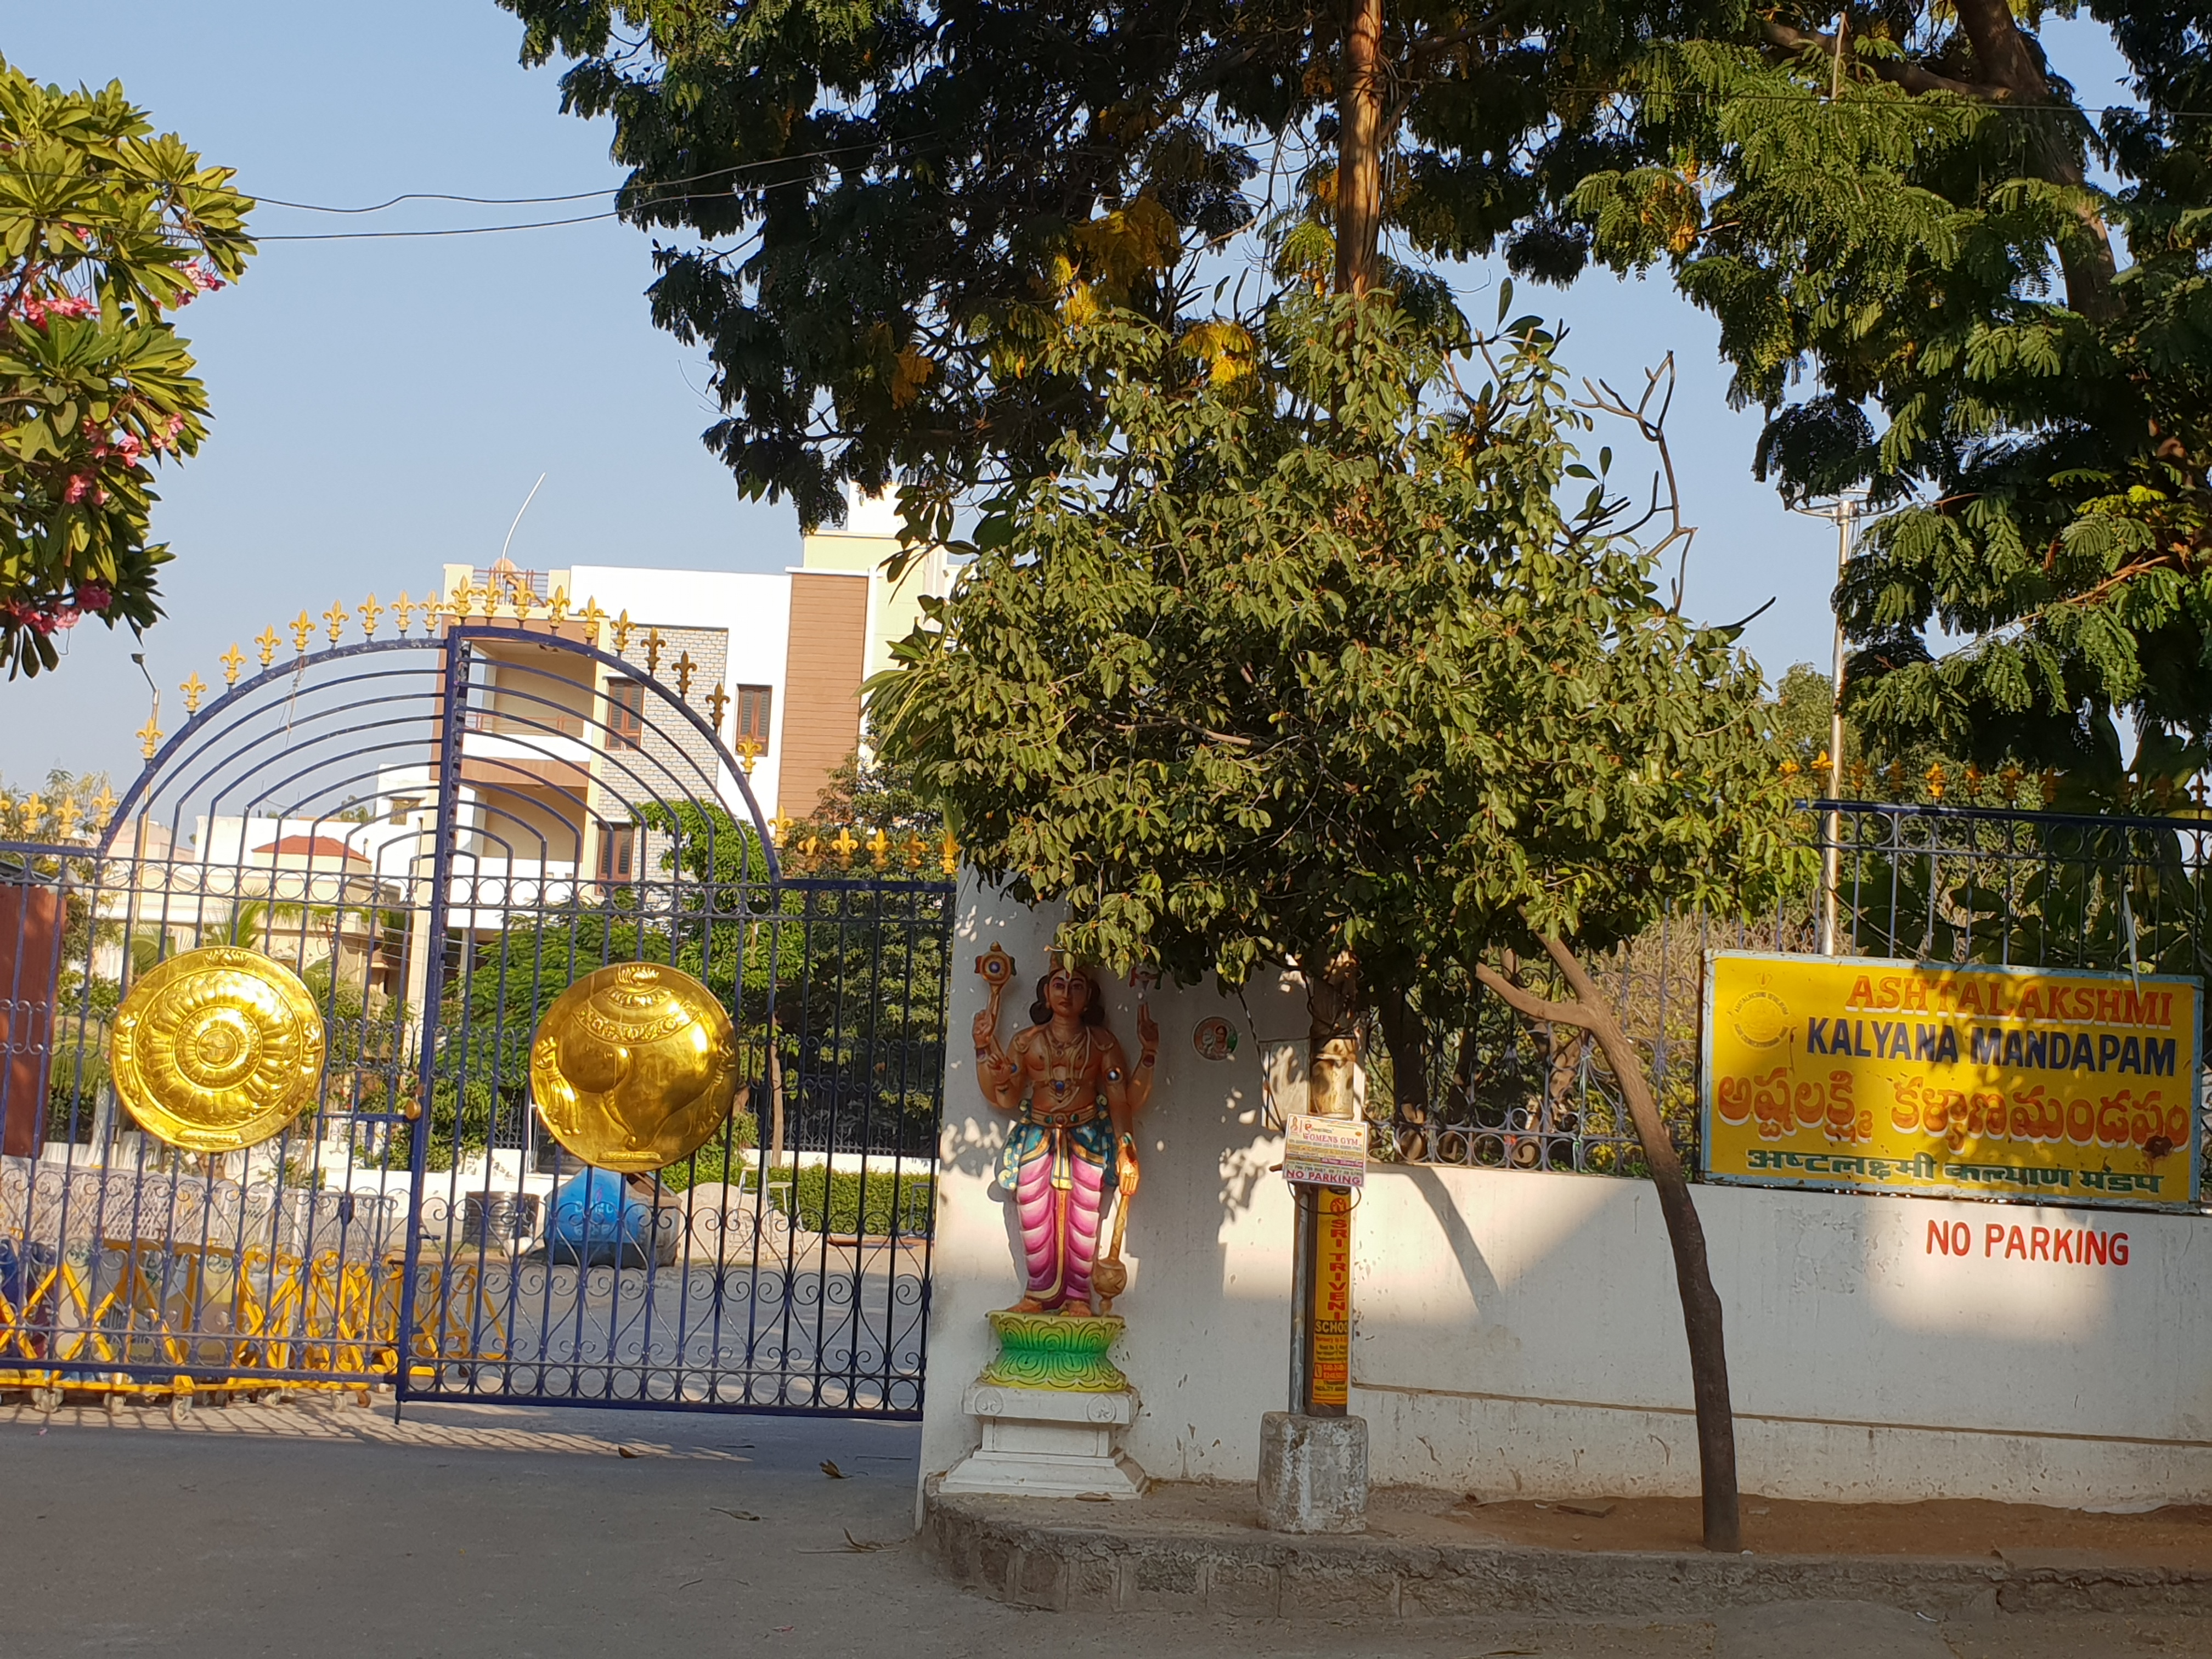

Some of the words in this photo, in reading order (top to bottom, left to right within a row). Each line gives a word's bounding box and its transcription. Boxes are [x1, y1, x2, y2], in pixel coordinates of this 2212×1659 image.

[1841, 968, 2180, 1037] ASHTALAKSHMI
[1803, 1004, 1965, 1070] KALYANA
[1962, 1019, 2183, 1081] MANDAPAM
[1285, 1167, 1307, 1181] NO
[1302, 1132, 1341, 1146] GOMENS
[1307, 1170, 1362, 1187] PARKING
[1338, 1135, 1360, 1147] GYM
[1715, 1060, 1880, 1153] అష్టలక్ష్మి
[1740, 1142, 1941, 1183] अष्टलक्ष्मी
[1943, 1156, 2074, 1189] कल्याण
[1887, 1074, 2201, 1158] కళ్యాణ మండపం
[2077, 1162, 2165, 1195] मंडप
[1917, 1212, 1978, 1265] NO
[1980, 1217, 2134, 1267] PARKING